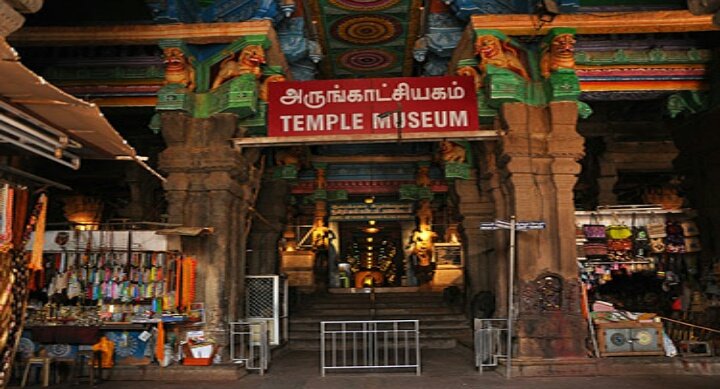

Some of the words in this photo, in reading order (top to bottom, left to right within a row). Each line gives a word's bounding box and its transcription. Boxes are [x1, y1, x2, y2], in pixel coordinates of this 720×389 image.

[277, 78, 395, 109] அருங்காட்
[387, 75, 469, 107] சியகம்
[273, 109, 369, 137] TEMPLE
[370, 107, 471, 135] MUSEUM